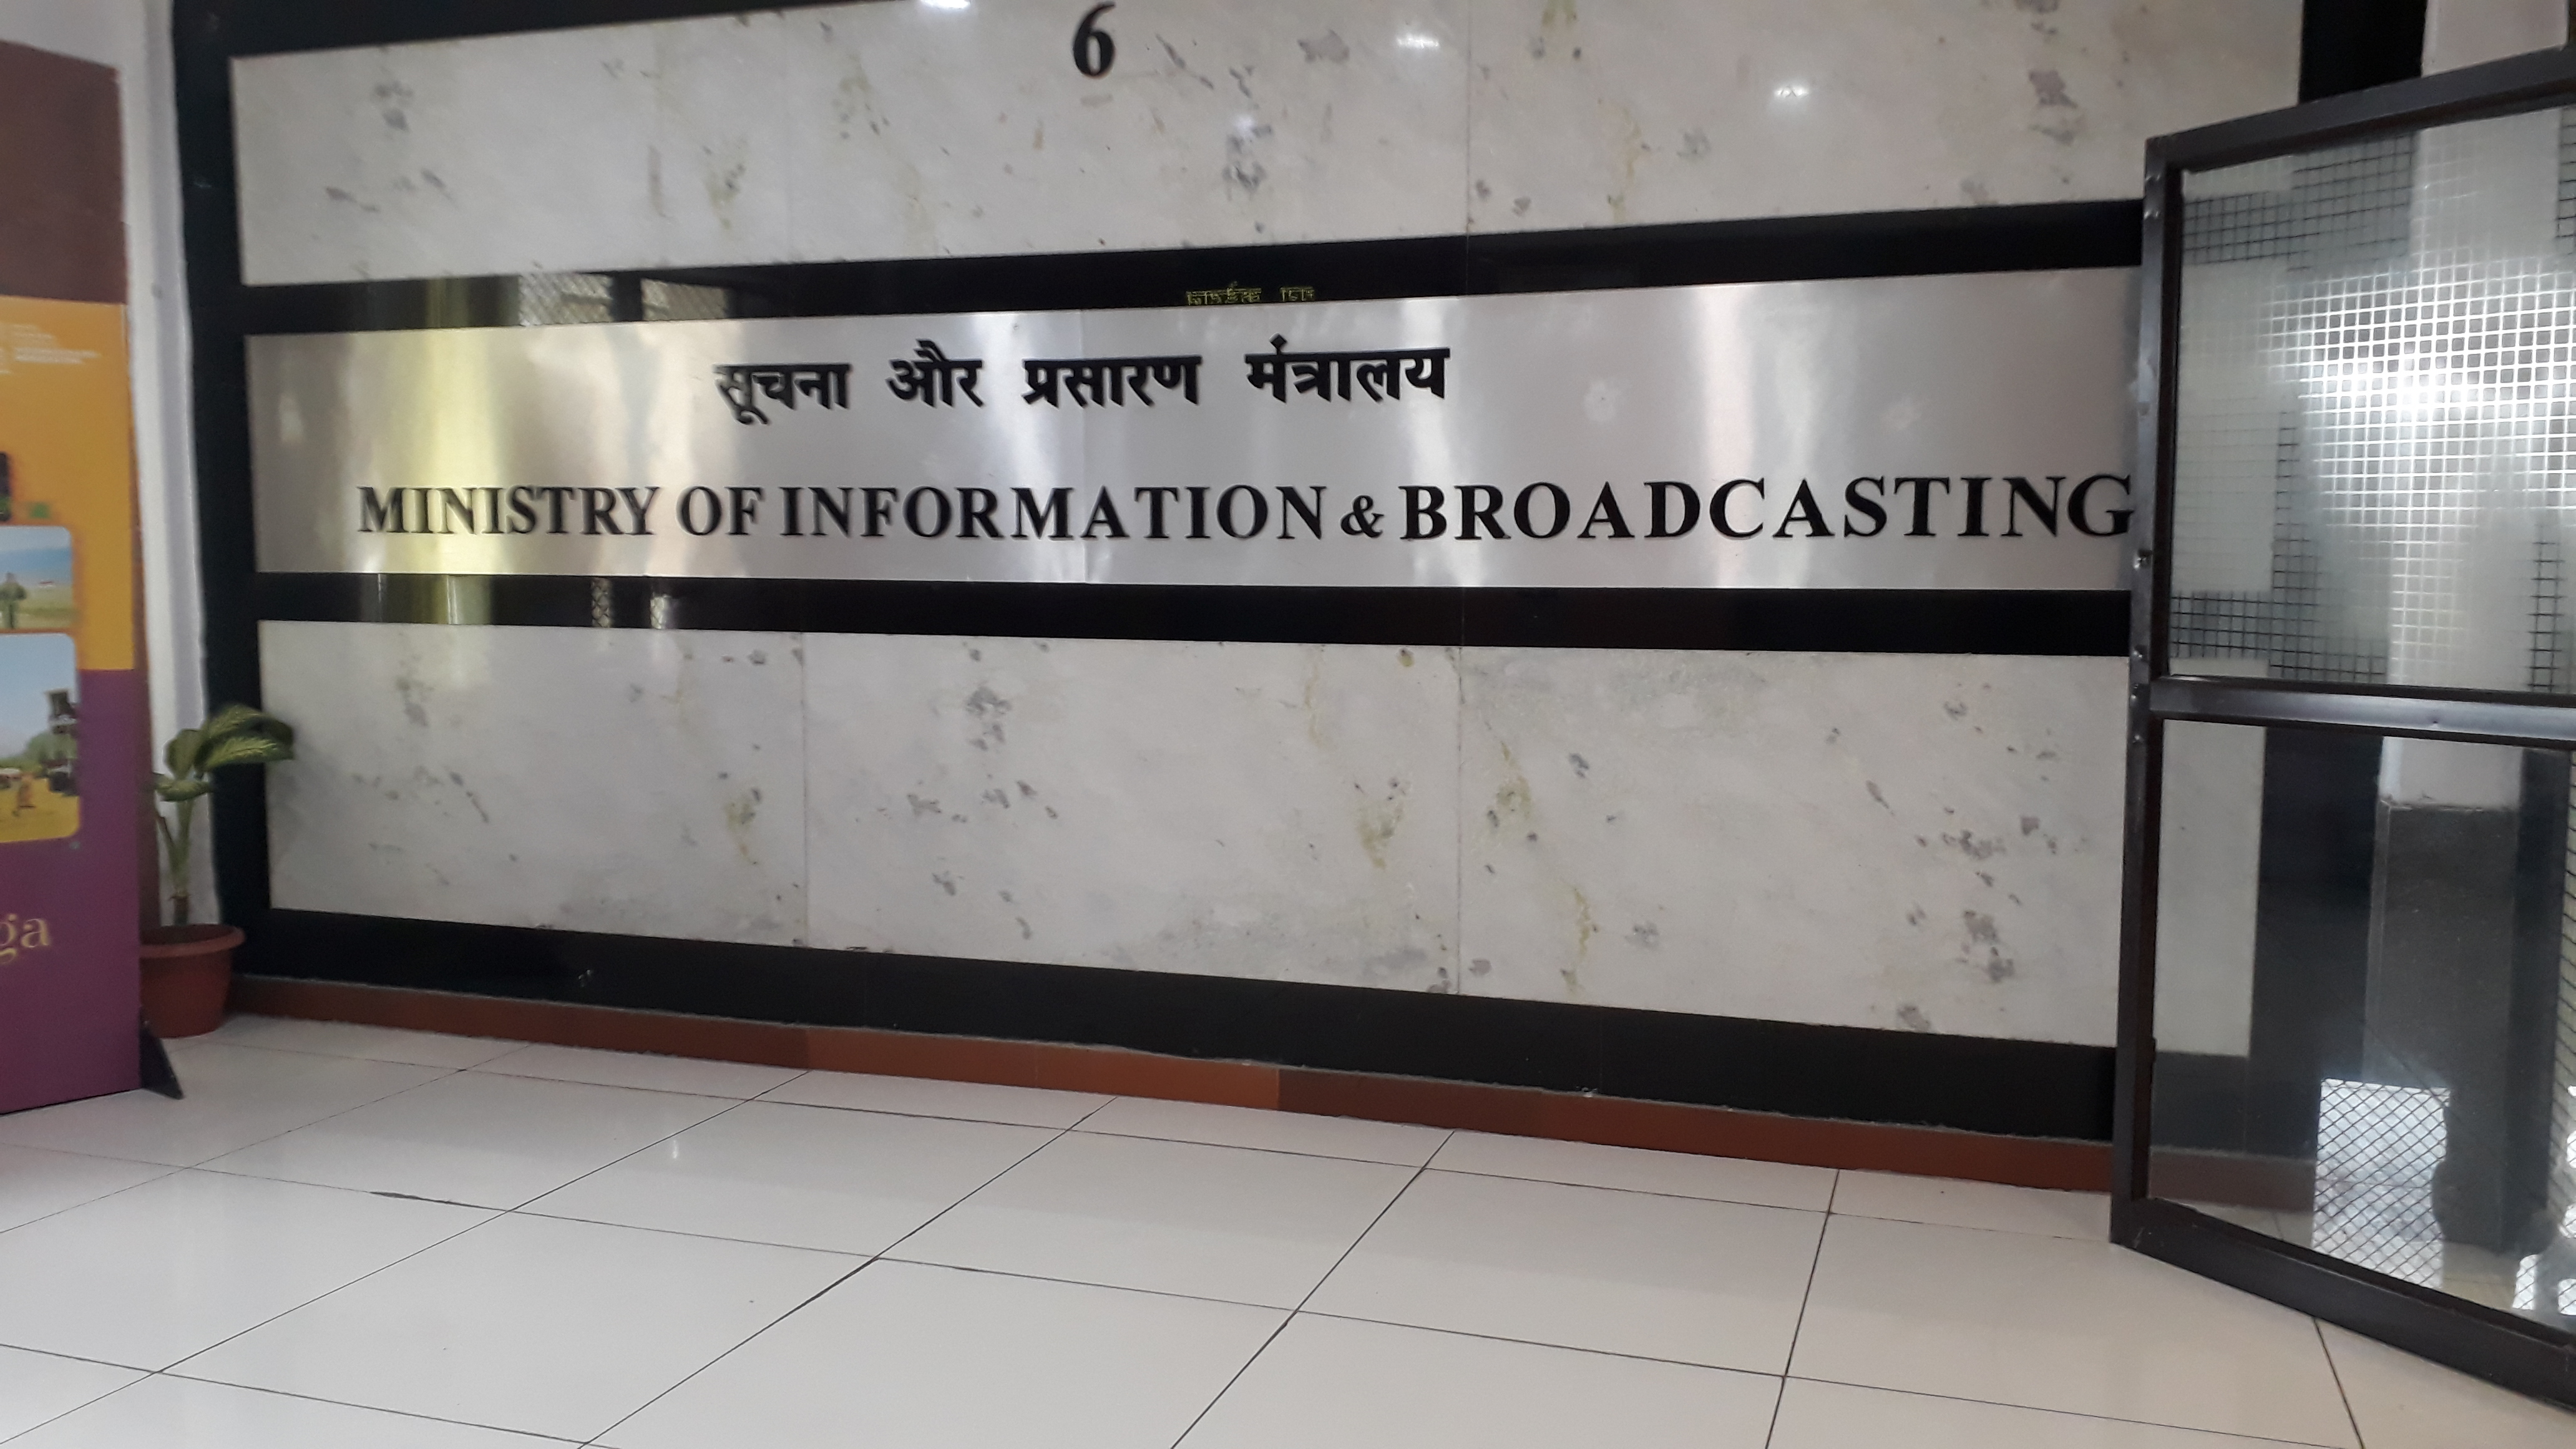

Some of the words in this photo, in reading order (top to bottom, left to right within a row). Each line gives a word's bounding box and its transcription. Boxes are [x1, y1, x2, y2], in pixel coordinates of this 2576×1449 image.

[711, 358, 857, 433] सूचना
[881, 333, 990, 413] और
[1020, 352, 1207, 413] प्रसारण
[1246, 328, 1454, 413] मंत्रालय
[353, 482, 661, 539] MINISTRY
[671, 482, 770, 545] OF
[774, 479, 1330, 548] INFORMATION
[1338, 485, 1388, 545] &
[1394, 469, 2139, 543] BROADCASTING